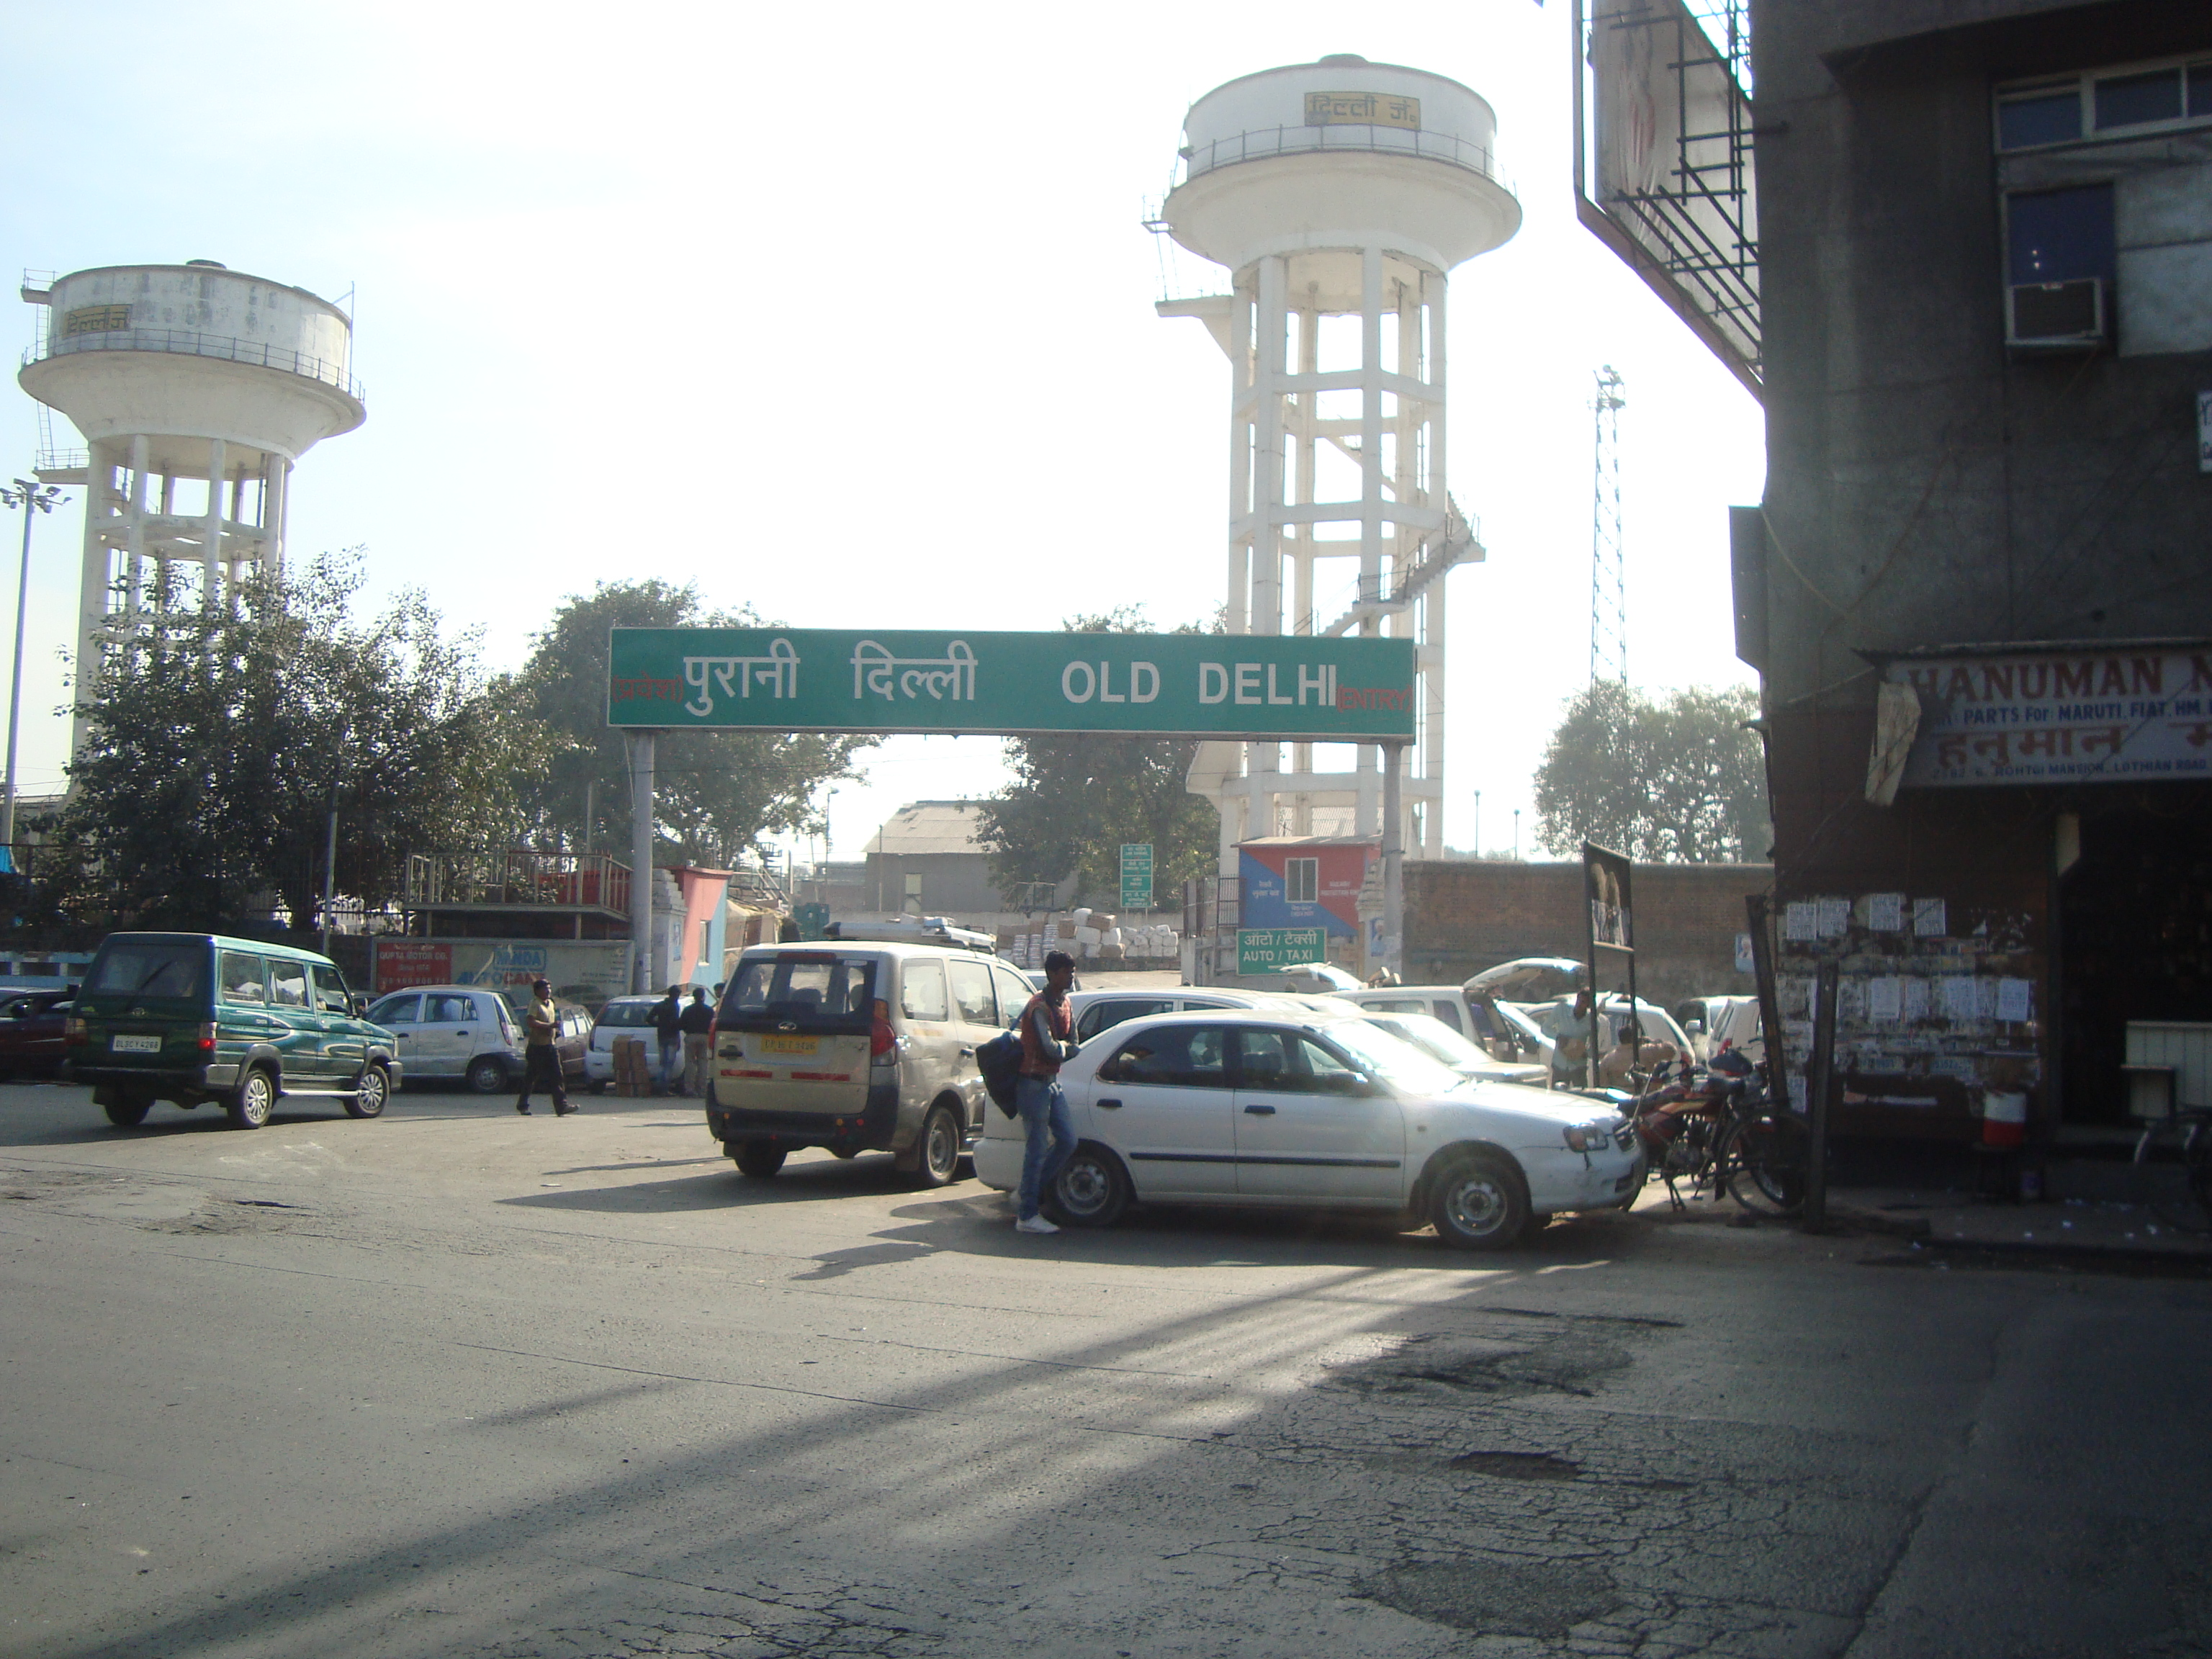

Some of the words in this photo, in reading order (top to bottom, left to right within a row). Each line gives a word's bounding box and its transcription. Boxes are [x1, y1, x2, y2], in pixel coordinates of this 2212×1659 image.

[613, 669, 681, 703] प्रवेश
[683, 634, 803, 719] पुरानी
[845, 634, 981, 703] दिल्ली
[1055, 656, 1161, 710] OLD
[1196, 660, 1339, 709] DELHI
[1338, 685, 1412, 713] ENTRY
[1961, 701, 2023, 728] PARTS
[2019, 703, 2053, 725] For
[1908, 649, 2167, 713] HANUMAN
[2057, 698, 2126, 724] MARUTI
[2126, 691, 2169, 721] FIAT
[1926, 719, 2128, 774] हनुमान
[1242, 928, 1275, 948] ऑटो
[1280, 927, 1320, 946] टैक्सी
[1241, 948, 1275, 963] AUTO
[1285, 948, 1315, 962] TAXI